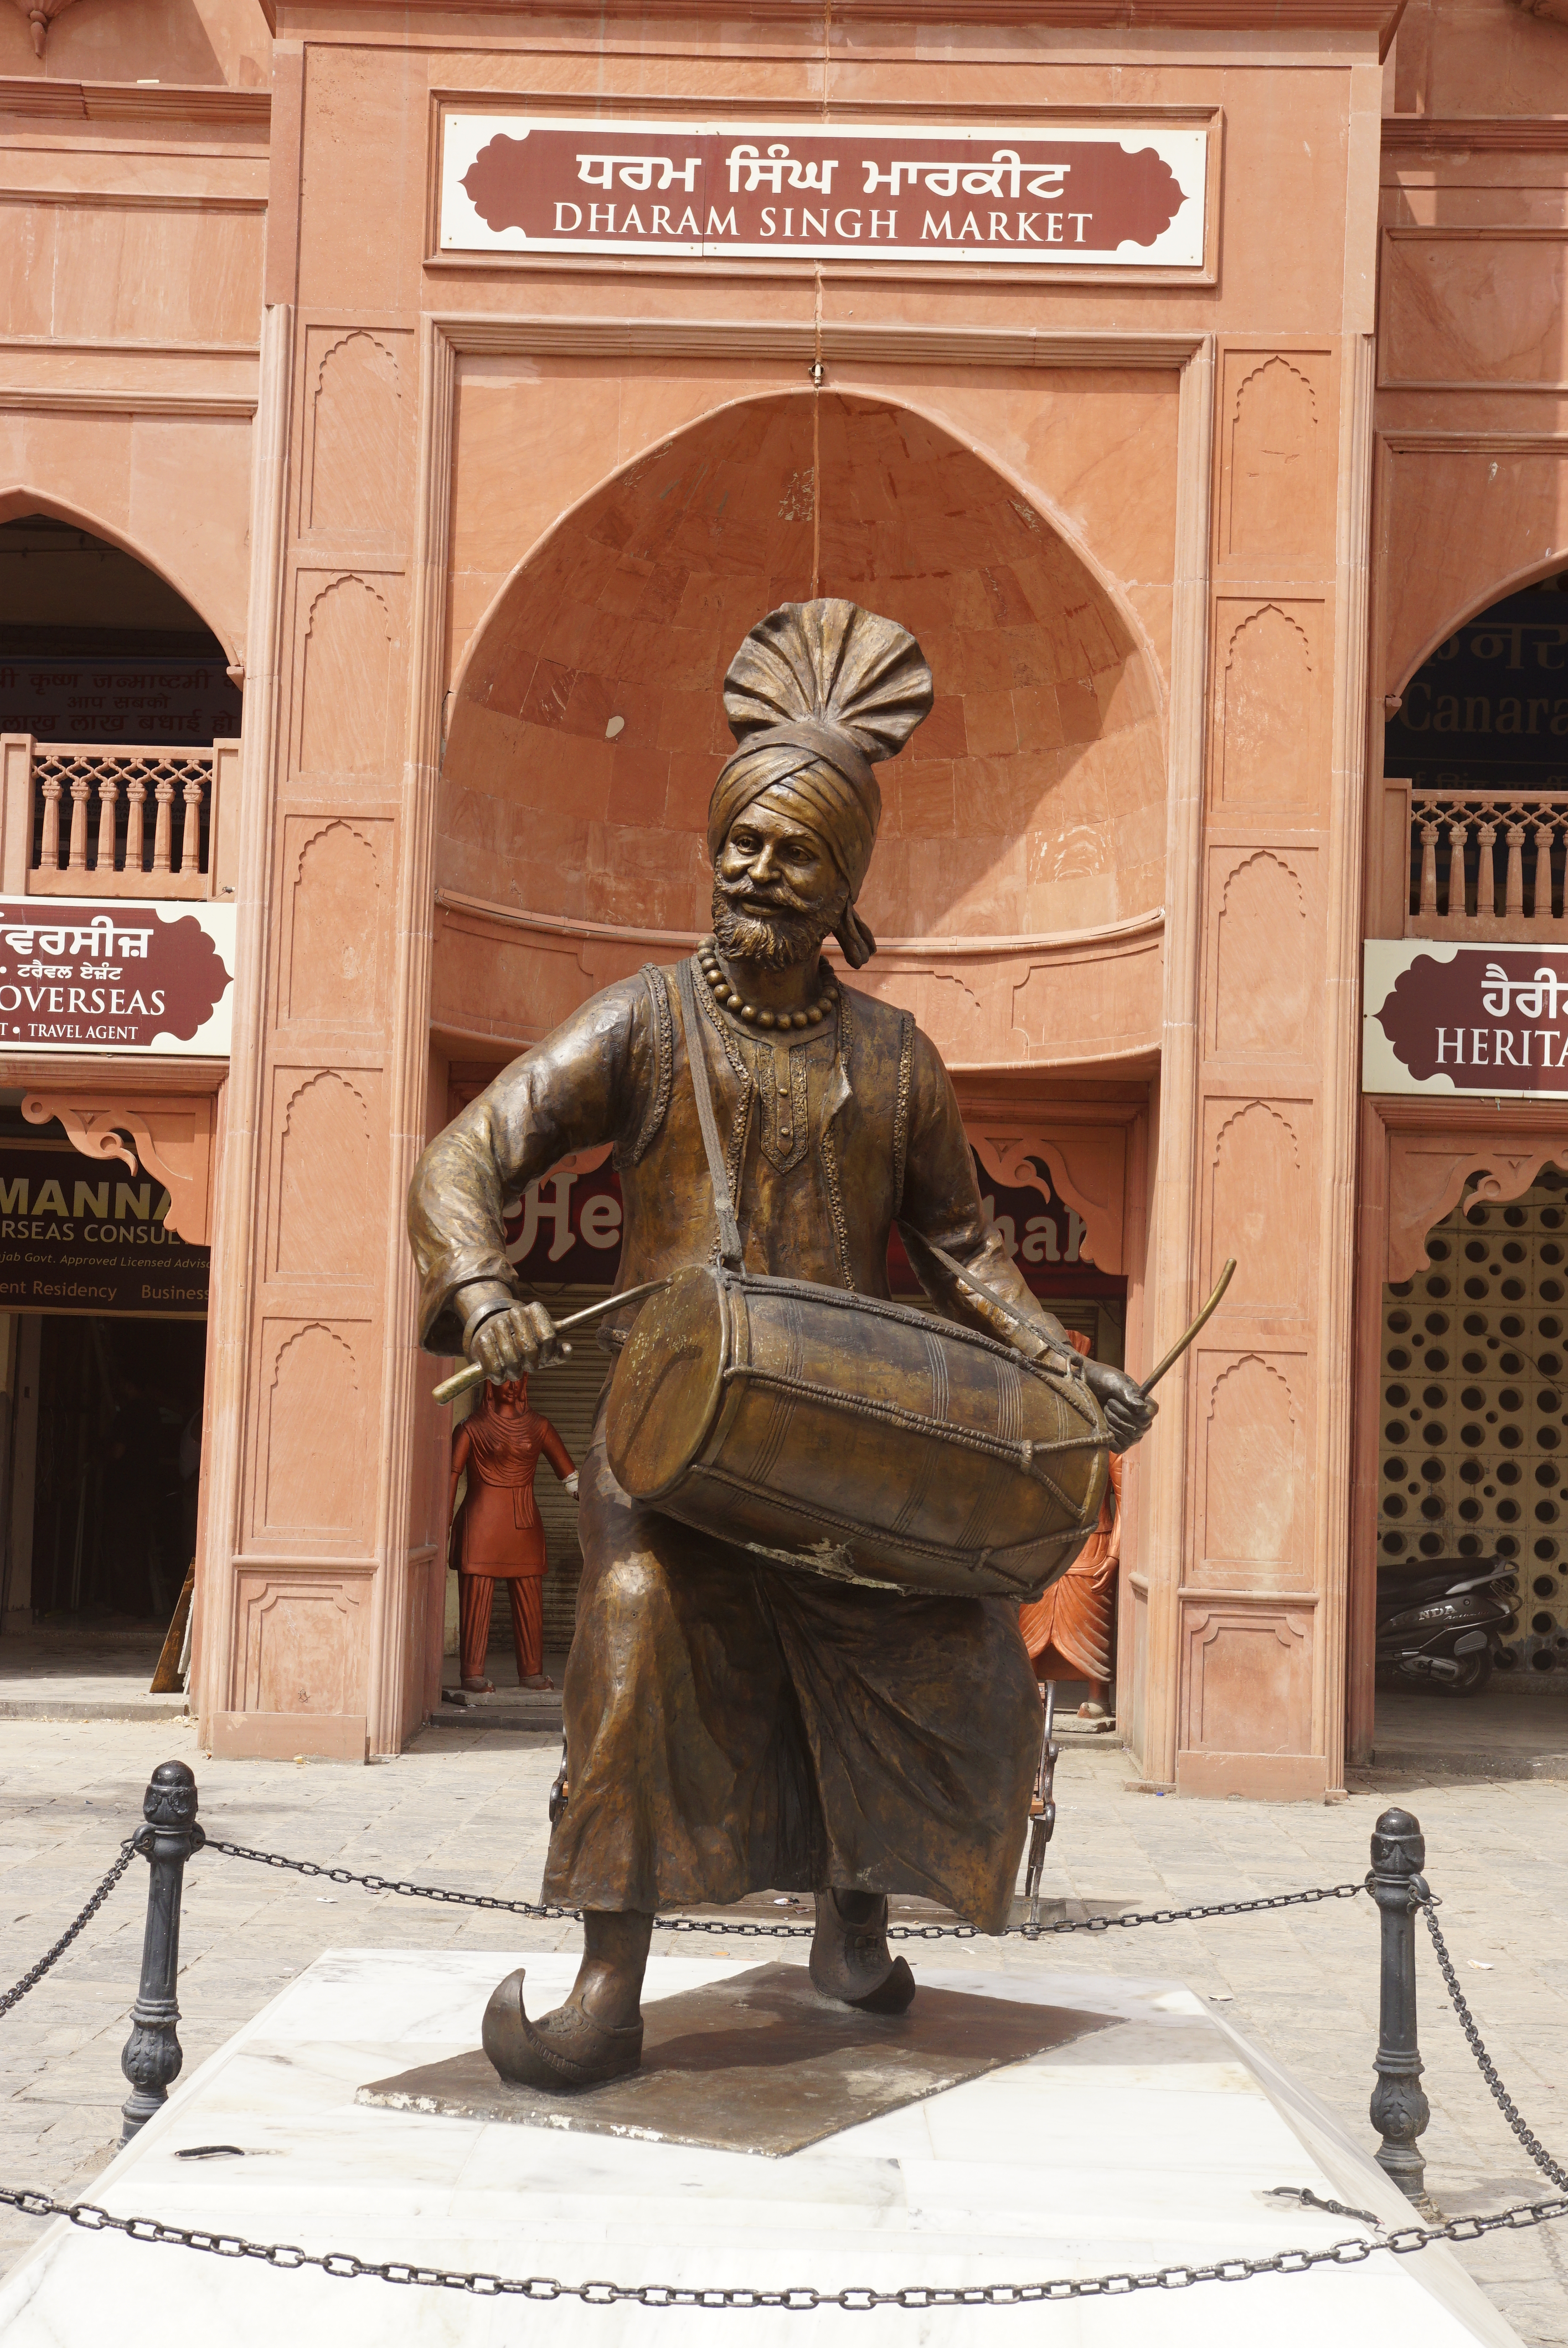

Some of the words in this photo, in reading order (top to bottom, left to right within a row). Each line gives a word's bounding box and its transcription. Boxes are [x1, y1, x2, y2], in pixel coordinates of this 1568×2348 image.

[565, 148, 706, 196] ਧਰਮ
[721, 141, 847, 199] ਸਿੰਘ
[852, 146, 1077, 207] ਮਾਰਕੀਟ
[546, 199, 747, 240] DHARAM
[753, 201, 908, 246] SINGH
[913, 202, 1099, 249] MARKET
[27, 668, 86, 698] कृष्ण
[84, 664, 220, 691] जन्माष्टमी
[53, 691, 110, 711] आप
[109, 691, 175, 713] सबको
[63, 710, 130, 737] लाख
[131, 706, 209, 738] बधाई
[209, 705, 241, 738] हो
[0, 907, 158, 964] ਵਰਸੀਜ਼
[12, 959, 80, 986] ਟਰੈਵਲ
[76, 959, 127, 985] ਏਜ਼ੰਟ
[1, 981, 173, 1021] OVERSEAS
[1476, 961, 1565, 1023] ਹੈਰੀ
[23, 1018, 84, 1045] TRAVEL
[83, 1021, 145, 1046] AGENT
[1430, 1022, 1565, 1075] HERIT
[29, 1175, 157, 1224] ANN
[1, 1218, 79, 1244] RSEAS
[78, 1221, 165, 1250] CONSU
[22, 1249, 58, 1266] Govt.
[58, 1248, 121, 1270] Approved
[119, 1252, 174, 1270] Licensed
[30, 1274, 122, 1308] Residency
[137, 1281, 209, 1304] Business